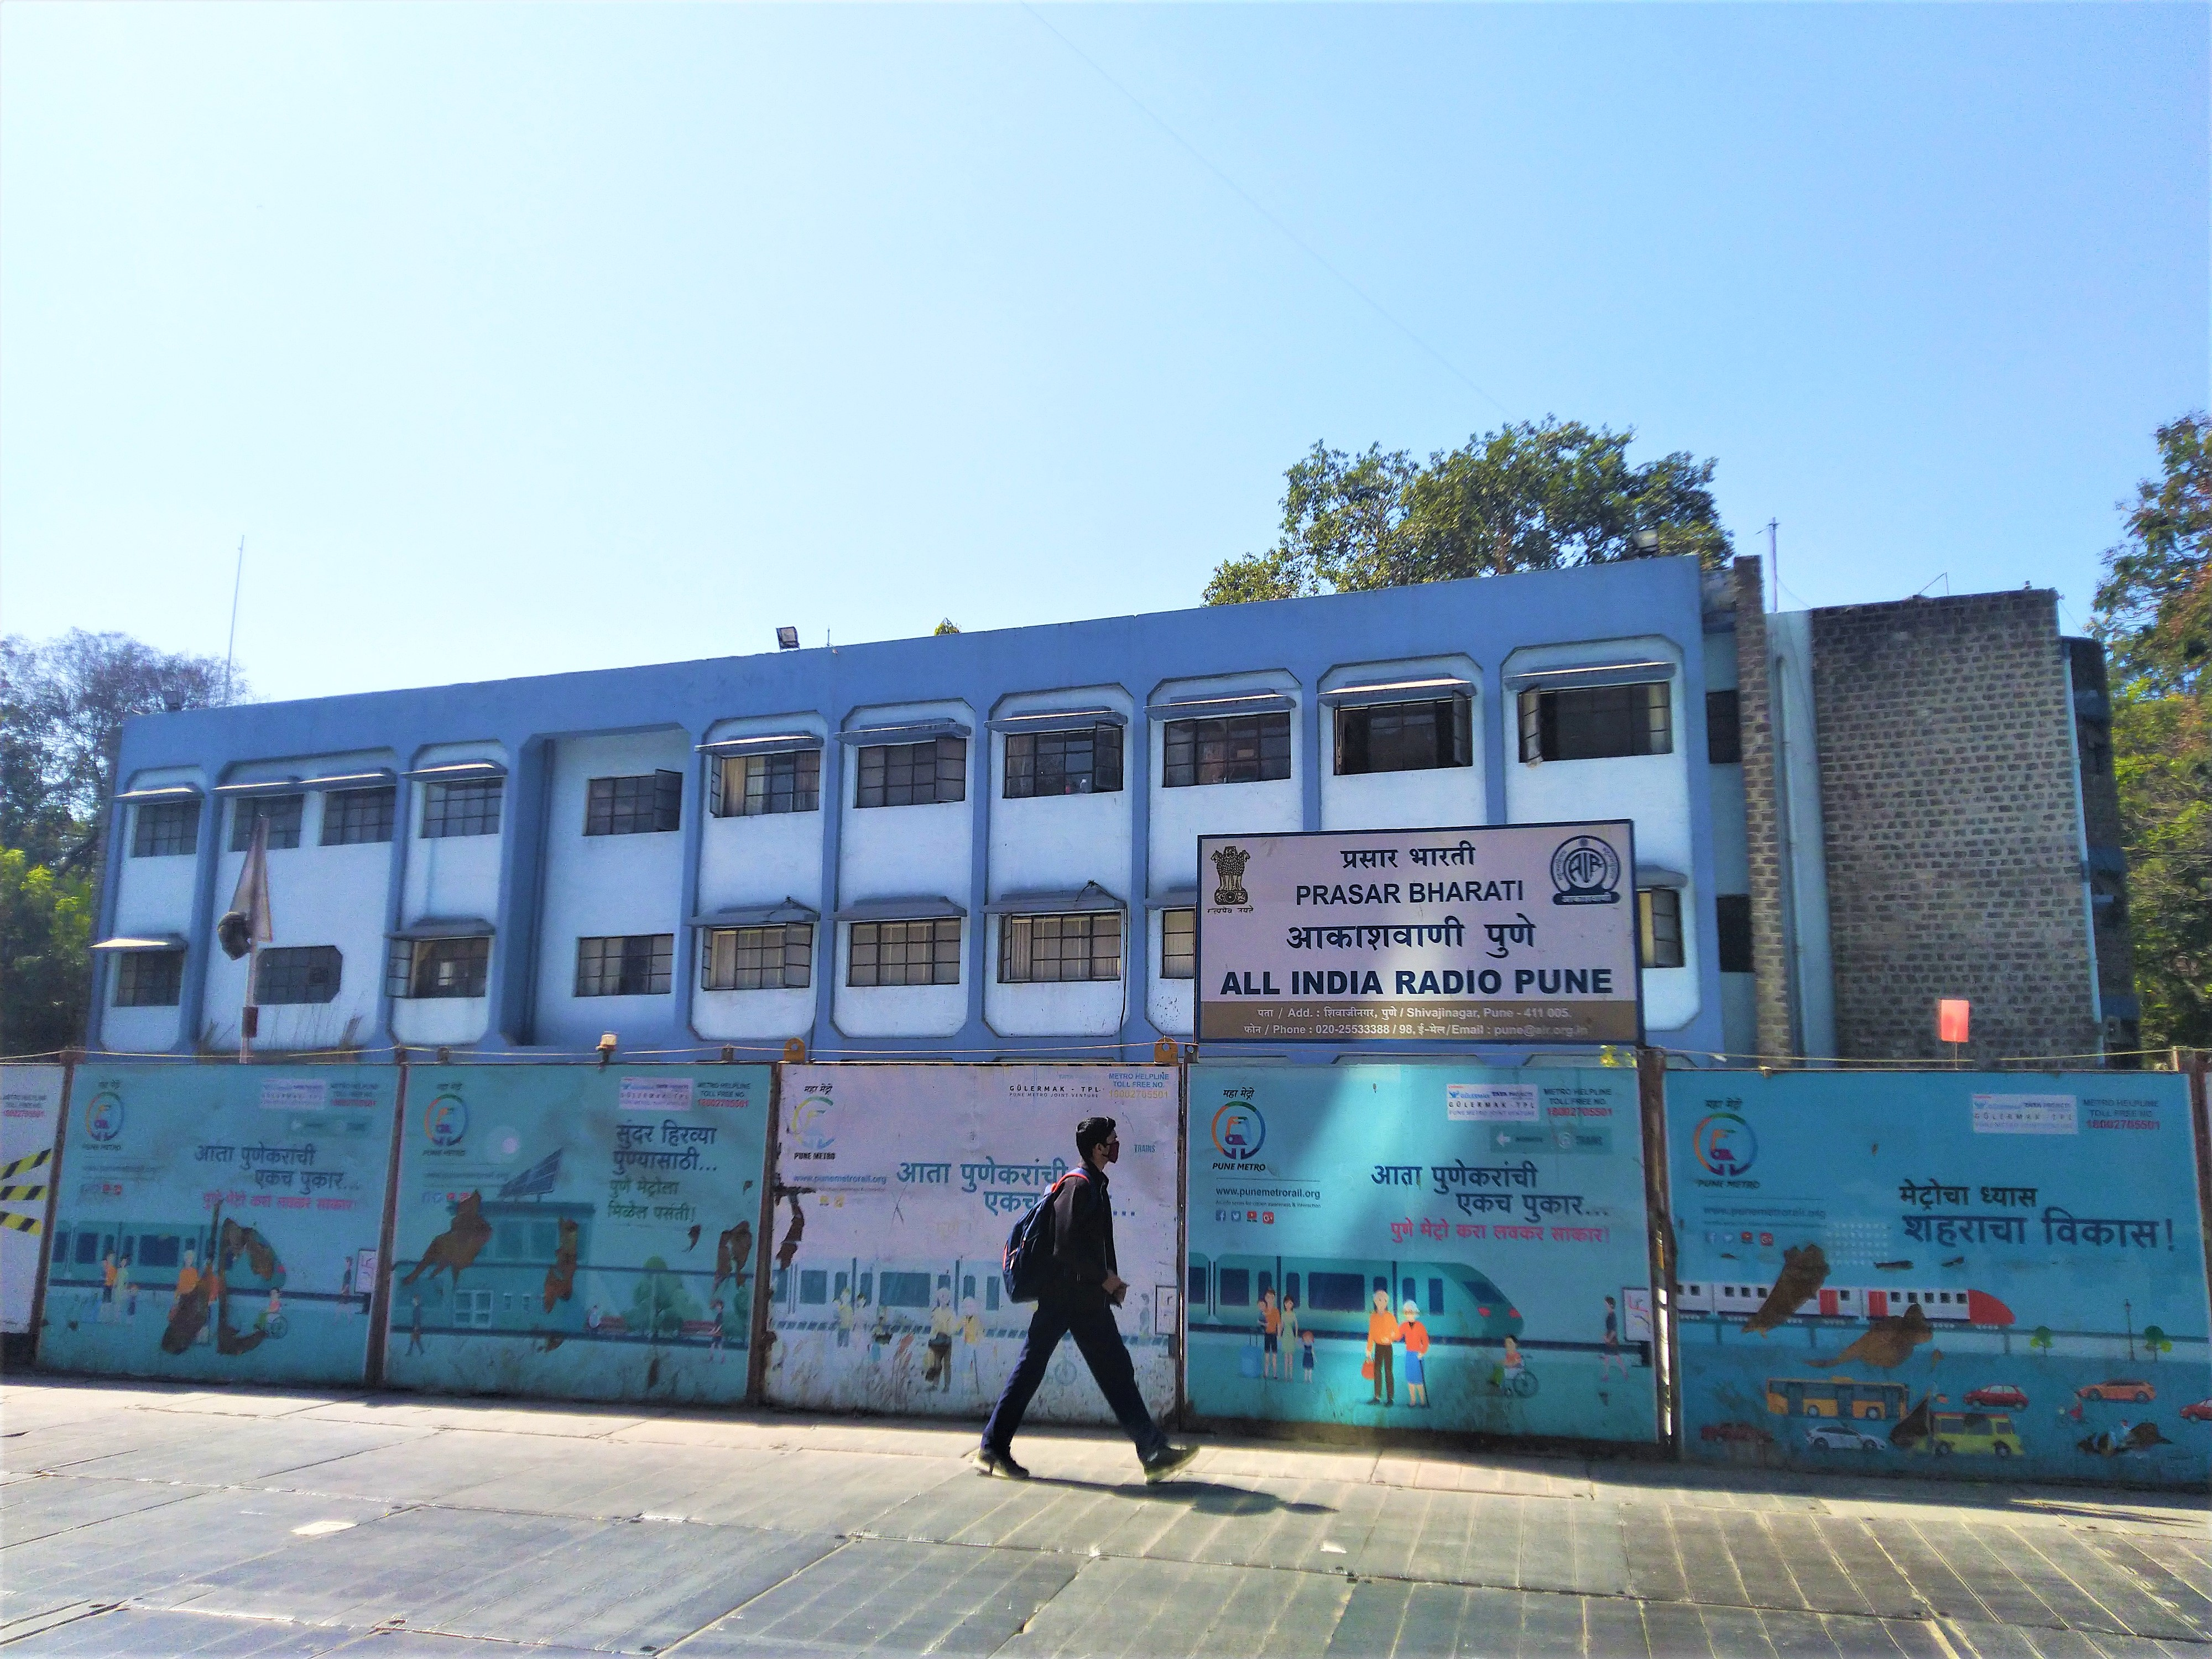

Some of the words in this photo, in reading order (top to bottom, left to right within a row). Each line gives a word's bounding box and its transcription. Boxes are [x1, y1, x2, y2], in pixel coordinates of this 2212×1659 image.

[1335, 844, 1402, 872] प्रसार
[1405, 838, 1482, 870] भारती
[1295, 881, 1405, 909] PRASAR
[1407, 876, 1527, 907] BHARATI
[1282, 911, 1471, 954] आकाशवाणी
[1480, 909, 1540, 963] पुणे
[1216, 964, 1285, 999] ALL
[1288, 967, 1387, 1000] INDIA
[1392, 967, 1505, 999] RADIO
[1512, 964, 1622, 998] PUNE
[1240, 1020, 1265, 1036] फोन
[1254, 1006, 1276, 1019] पता
[1271, 1022, 1314, 1037] Phone:
[1285, 1004, 1322, 1020] Add.:
[1321, 1005, 1380, 1020] शिवाजीनगर,
[1312, 1022, 1417, 1037] 020-25533388/98,
[1379, 1003, 1400, 1022] पुणे
[1405, 1004, 1482, 1021] Shivajinagar,
[1414, 1021, 1493, 1040] ई-मेल/Email:
[1480, 1004, 1515, 1021] Pune
[1522, 1004, 1574, 1021] 411005.
[1221, 1086, 1239, 1102] महा
[1238, 1086, 1257, 1103] मेट्रो
[609, 1115, 658, 1149] सुंदर
[658, 1115, 722, 1149] हिरव्या
[187, 1139, 237, 1166] आता
[254, 1165, 297, 1190] एकच
[236, 1139, 321, 1174] पुणेकरांची
[295, 1169, 363, 1195] पुकार...
[607, 1146, 724, 1180] पुण्यासाठी...
[893, 1157, 955, 1189] आता
[982, 1188, 1044, 1219] एकच
[957, 1153, 1072, 1197] पुणेकरांची
[1210, 1159, 1238, 1172] PUNE
[1235, 1161, 1269, 1174] METRO
[1211, 1184, 1324, 1201] www.punemetrorall.org
[1365, 1160, 1430, 1193] आता
[1428, 1152, 1541, 1198] पुणेकरांची
[1455, 1188, 1517, 1219] एकच
[1519, 1189, 1614, 1224] पुकार...
[1892, 1171, 1975, 1212] मेट्रोचा
[1977, 1181, 2043, 1212] ध्यास
[1383, 1214, 1415, 1246] पुणे
[1416, 1213, 1453, 1245] मेट्रो
[1452, 1220, 1489, 1246] करा
[1489, 1222, 1548, 1243] लवकर
[1547, 1222, 1618, 1246] साकार।
[1898, 1210, 2033, 1251] शहराचा
[2037, 1200, 2190, 1258] विकास !